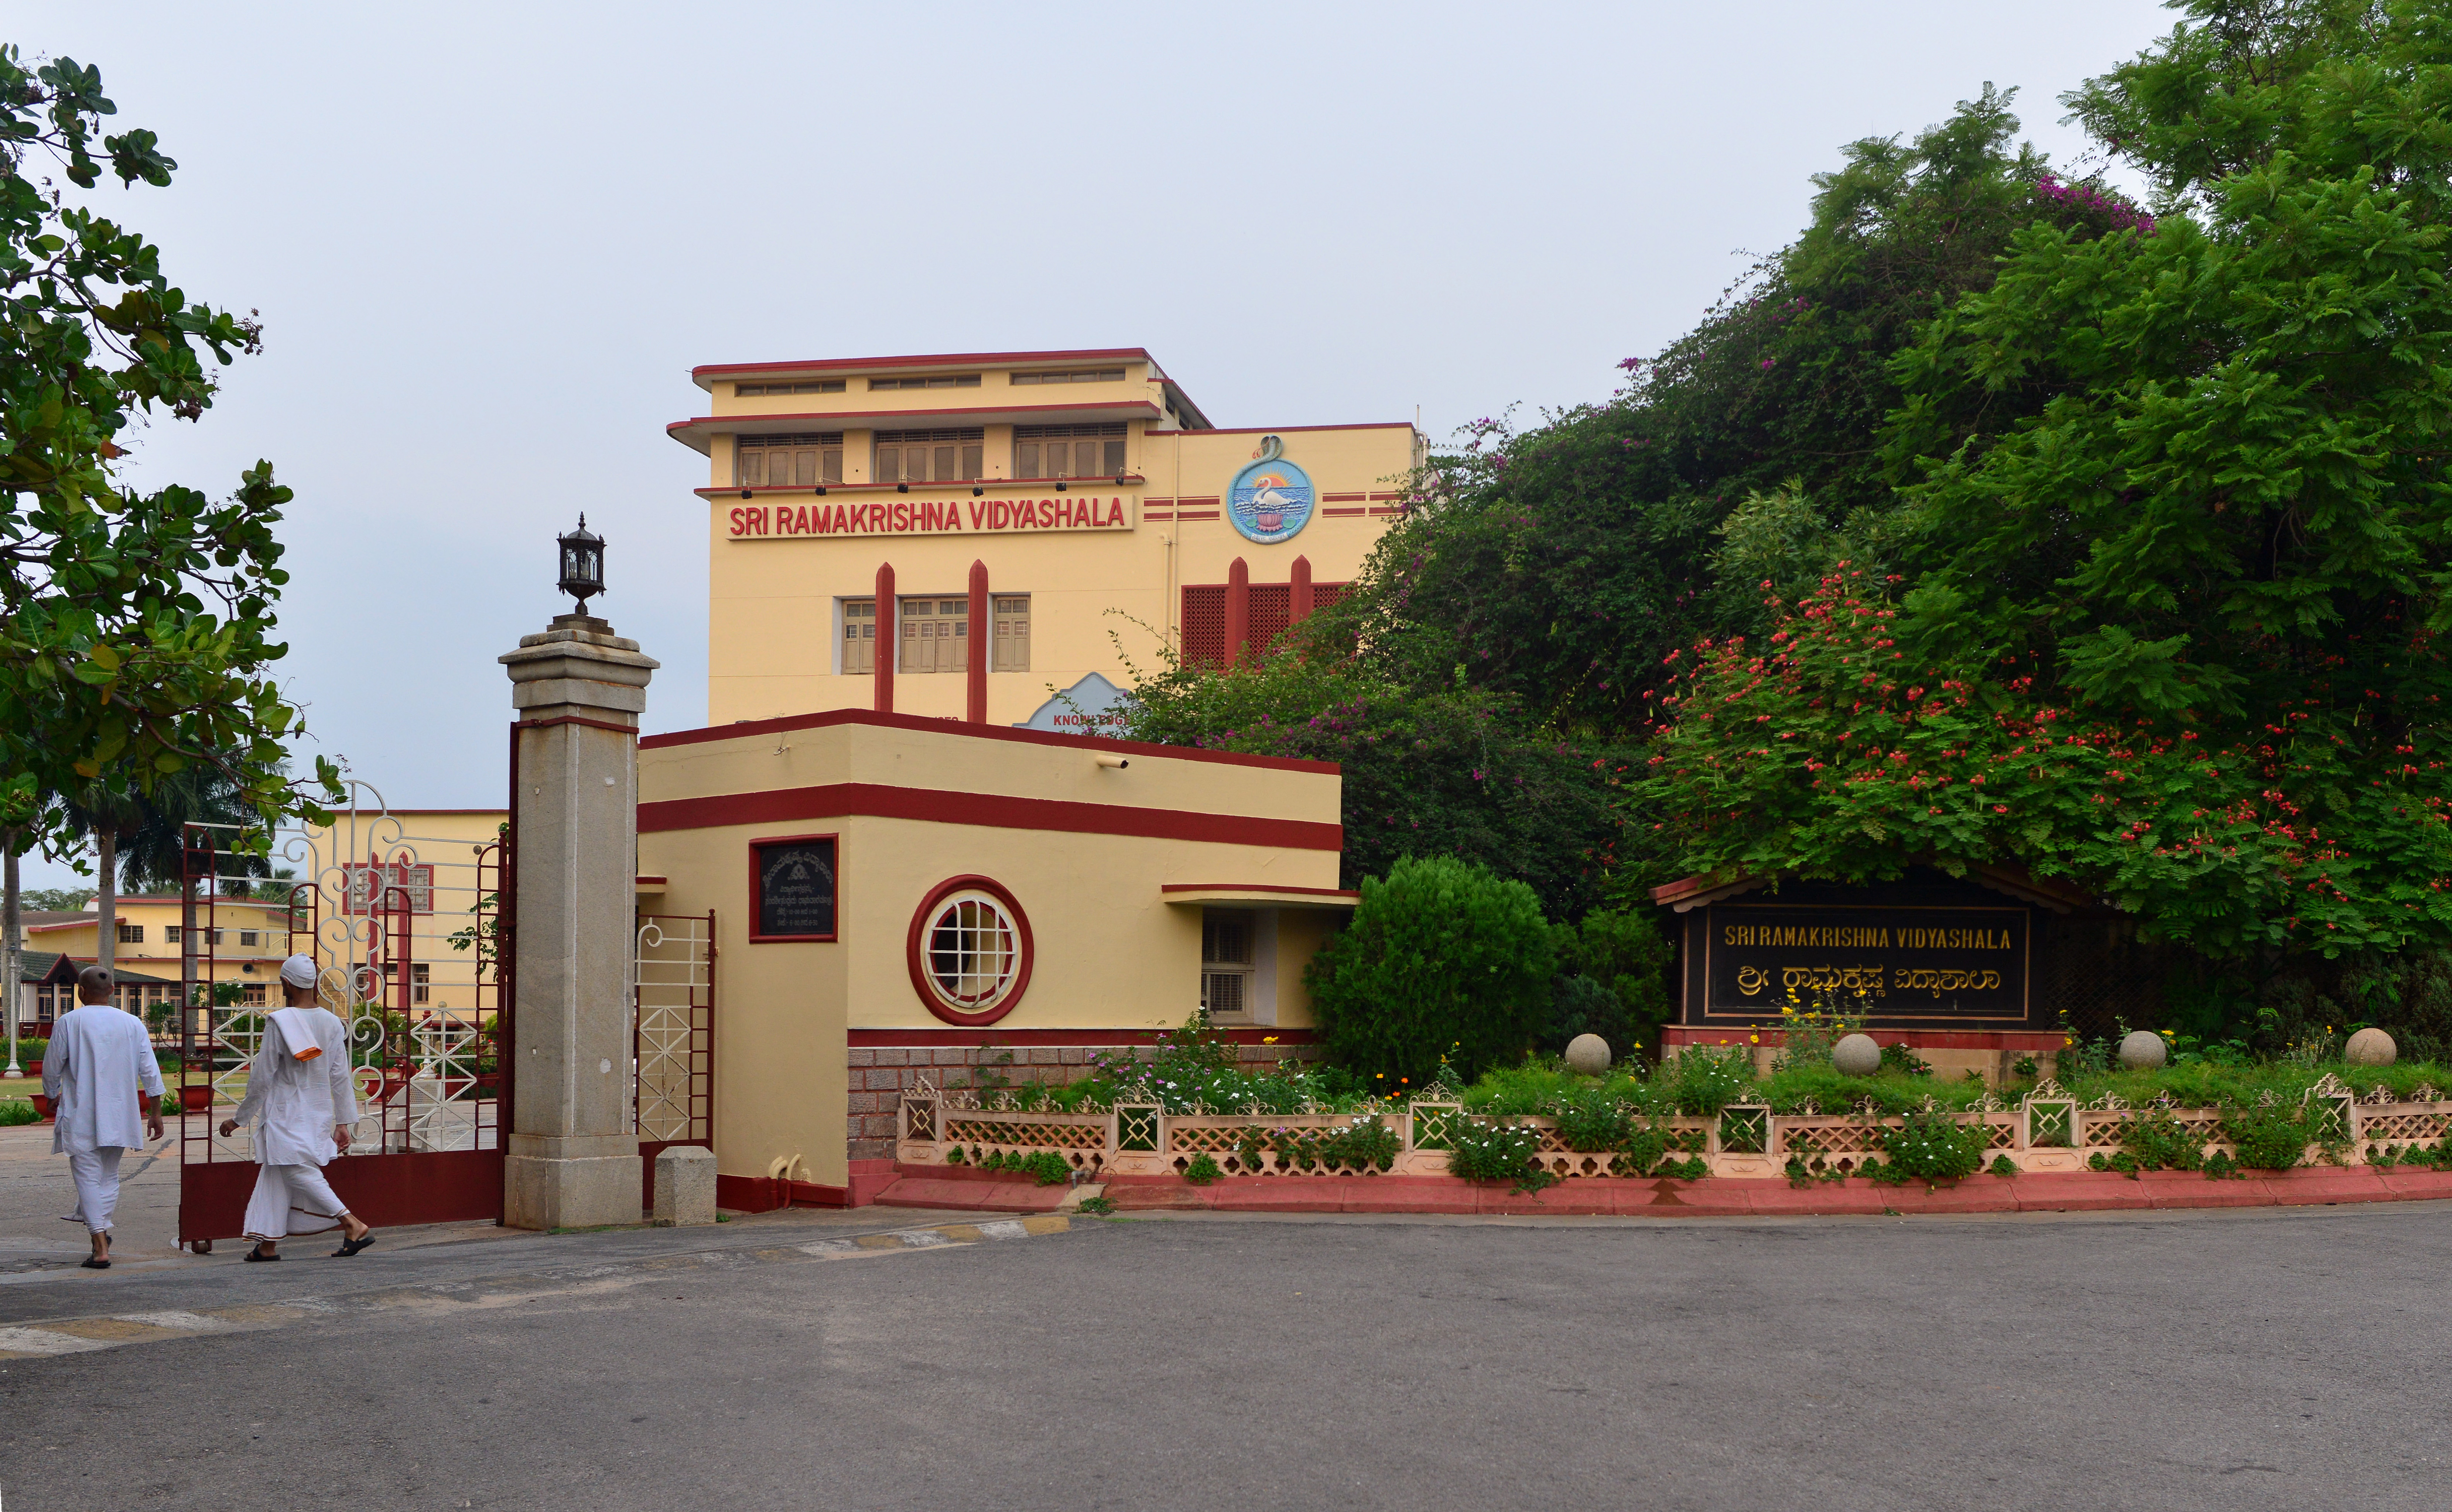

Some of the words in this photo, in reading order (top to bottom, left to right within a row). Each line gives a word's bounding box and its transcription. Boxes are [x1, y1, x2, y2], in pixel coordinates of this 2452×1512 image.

[728, 503, 771, 537] SRI
[775, 501, 962, 536] RAMAKRISHNA
[968, 496, 1125, 530] VIDYASHALA
[760, 848, 805, 894] ಶ್ರೀ ರಾಮಕೃಷ್ಣ
[801, 851, 837, 888] ವಿದ್ಯಾಶಾಲಾ
[796, 892, 835, 907] ಧಾಮವಾರಮಾಹ
[1722, 922, 1757, 949] SRI
[1757, 923, 1891, 951] RAMAKRISHNA
[1895, 925, 2013, 954] VIDYASHALA
[1735, 961, 1771, 998] ಶ್ರೀ
[1780, 961, 1888, 1000] ರಾಮಕೃಷೢ
[1891, 966, 2003, 1001] ವಿದ್ಯಾಶಾಲಾ